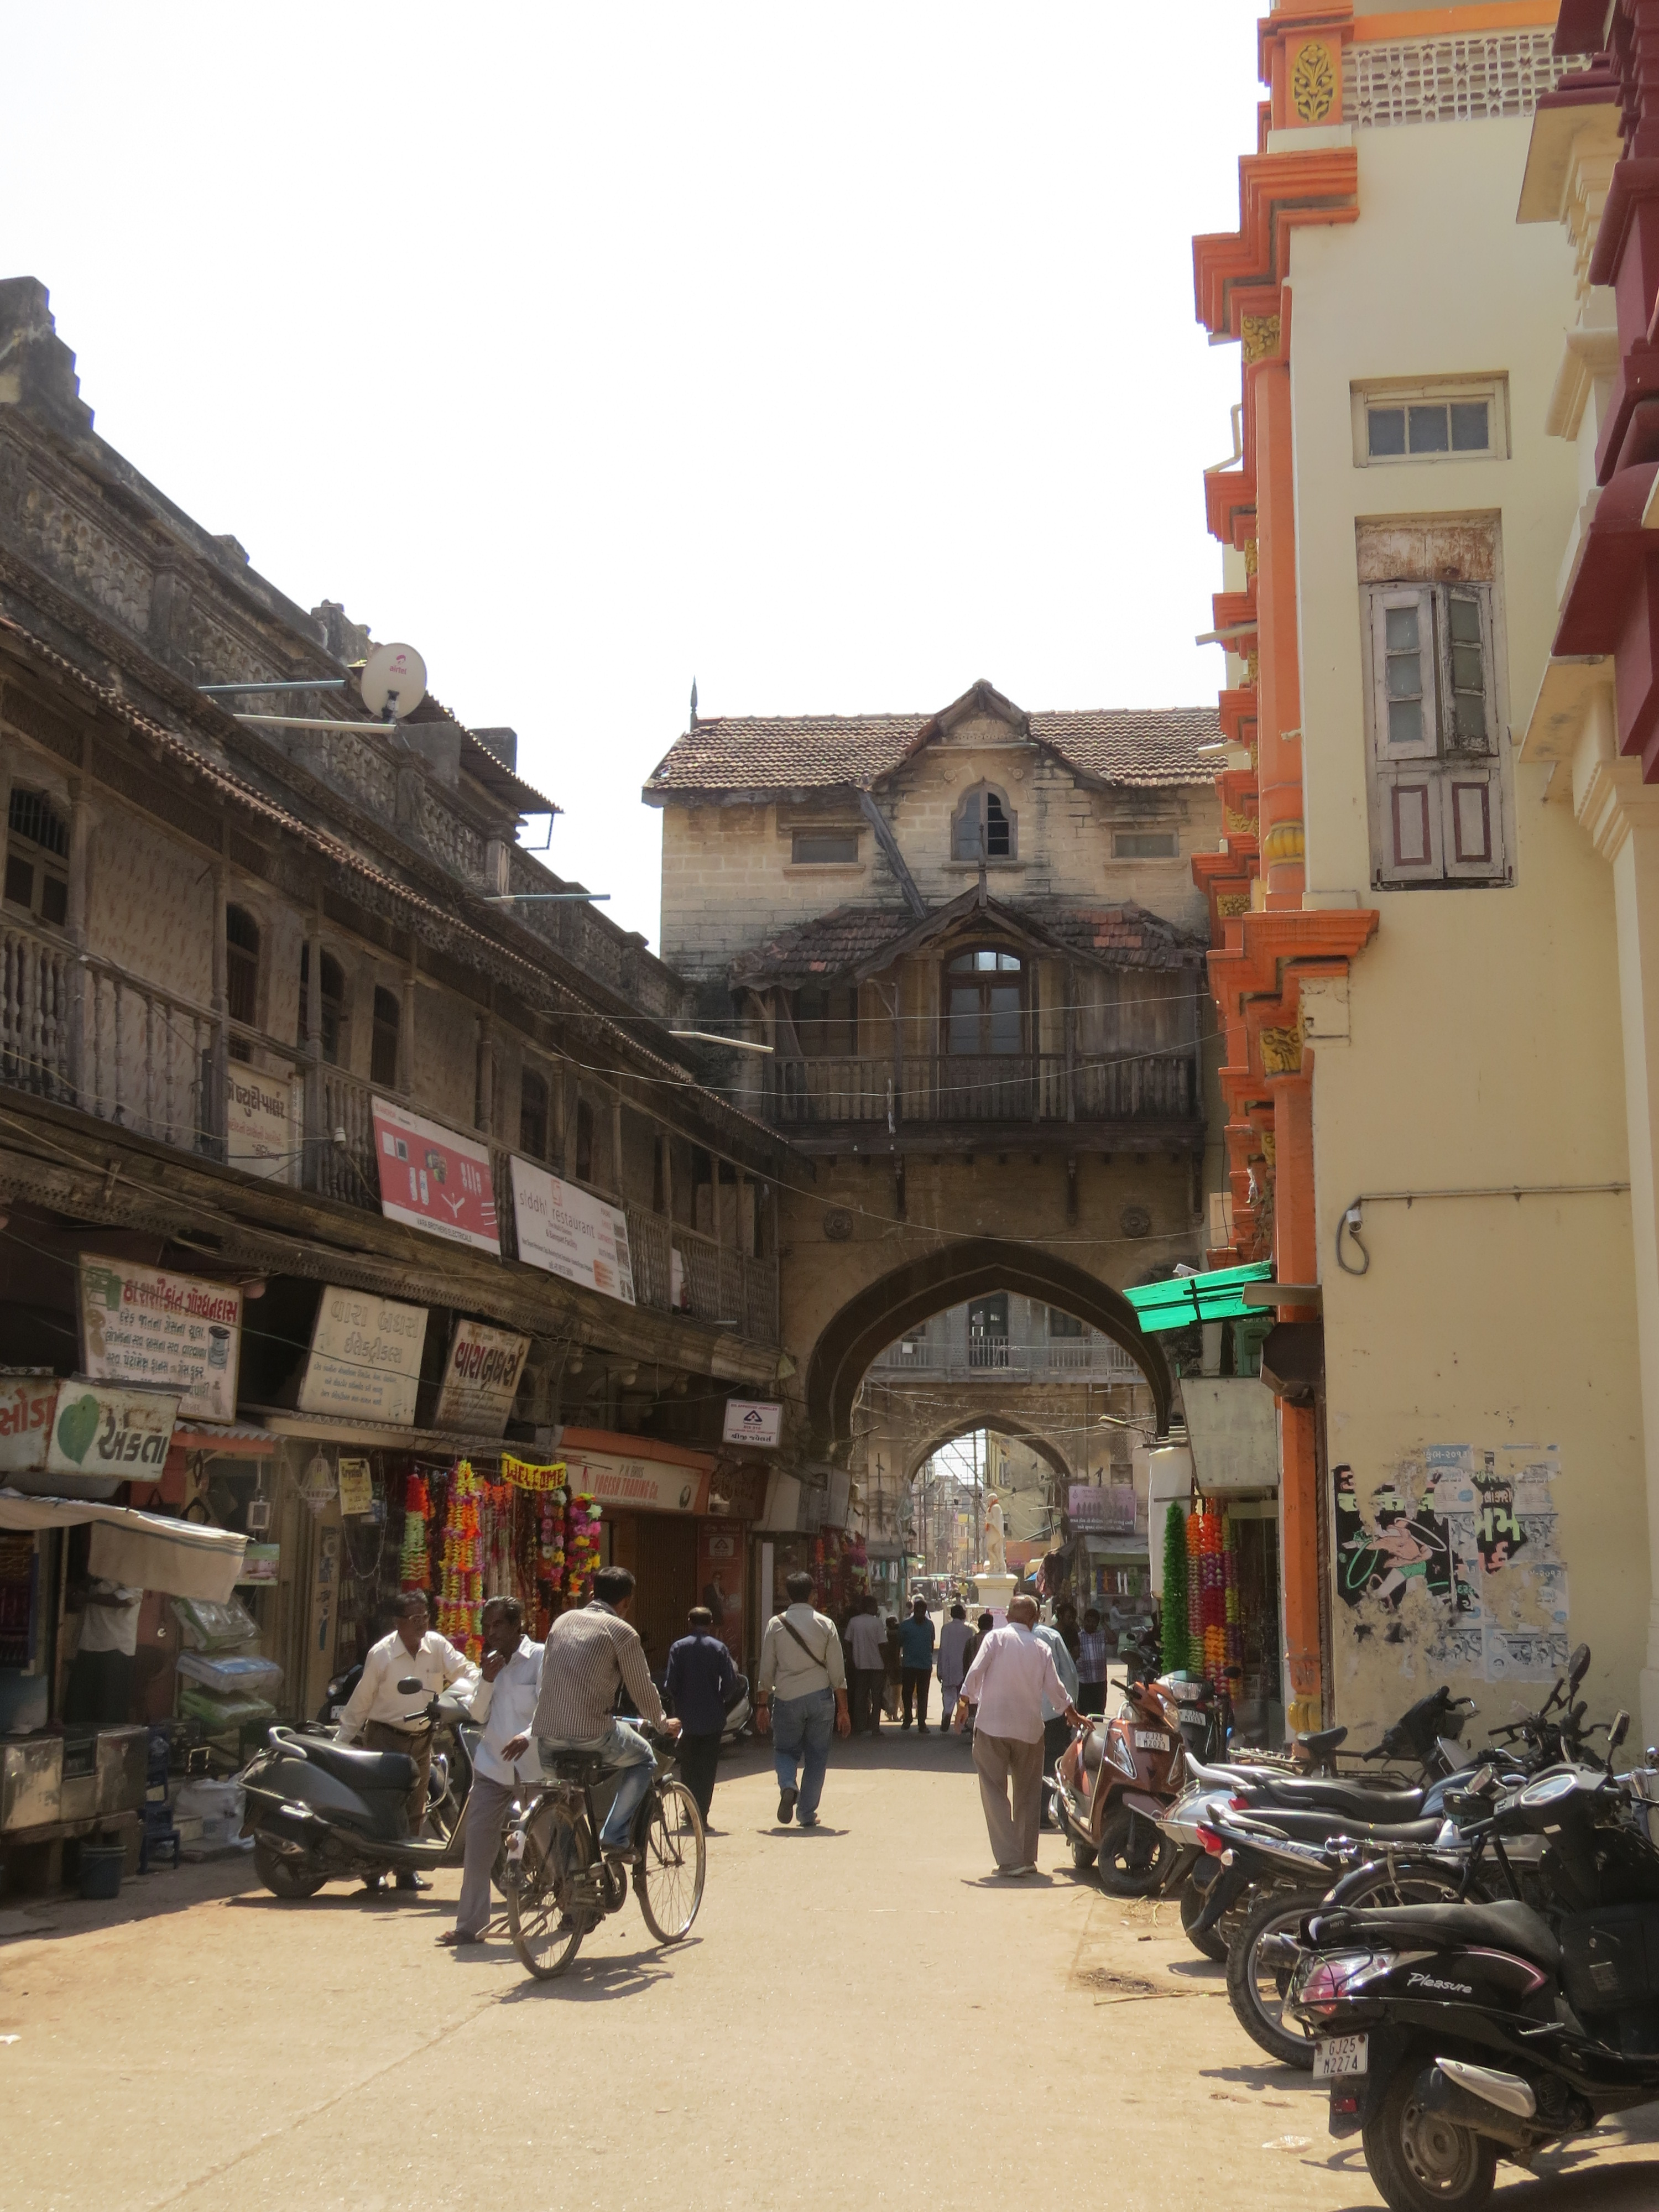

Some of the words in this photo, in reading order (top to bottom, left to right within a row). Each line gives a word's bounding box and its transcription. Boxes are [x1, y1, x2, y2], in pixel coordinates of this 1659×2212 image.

[234, 1079, 262, 1118] ખ્યુરી
[260, 1088, 288, 1123] પાર્લર
[517, 1188, 552, 1219] slddh!
[551, 1205, 598, 1242] restaurant
[138, 1274, 185, 1317] શશીકાંત
[185, 1286, 239, 1323] ગોરધતદાસ
[323, 1292, 374, 1332] वारा
[371, 1305, 428, 1344] બ્રધર્સ
[337, 1329, 408, 1375] ઇલેકદ્રીકલ્સ
[449, 1337, 489, 1383] વારા
[478, 1340, 528, 1395] બ્રધર્સ
[1, 1380, 60, 1440] સોડા
[88, 1395, 171, 1473] એકતા
[1401, 1968, 1475, 2004] Pleasure
[1323, 2036, 1360, 2056] GJ25
[1321, 2053, 1363, 2075] M2274